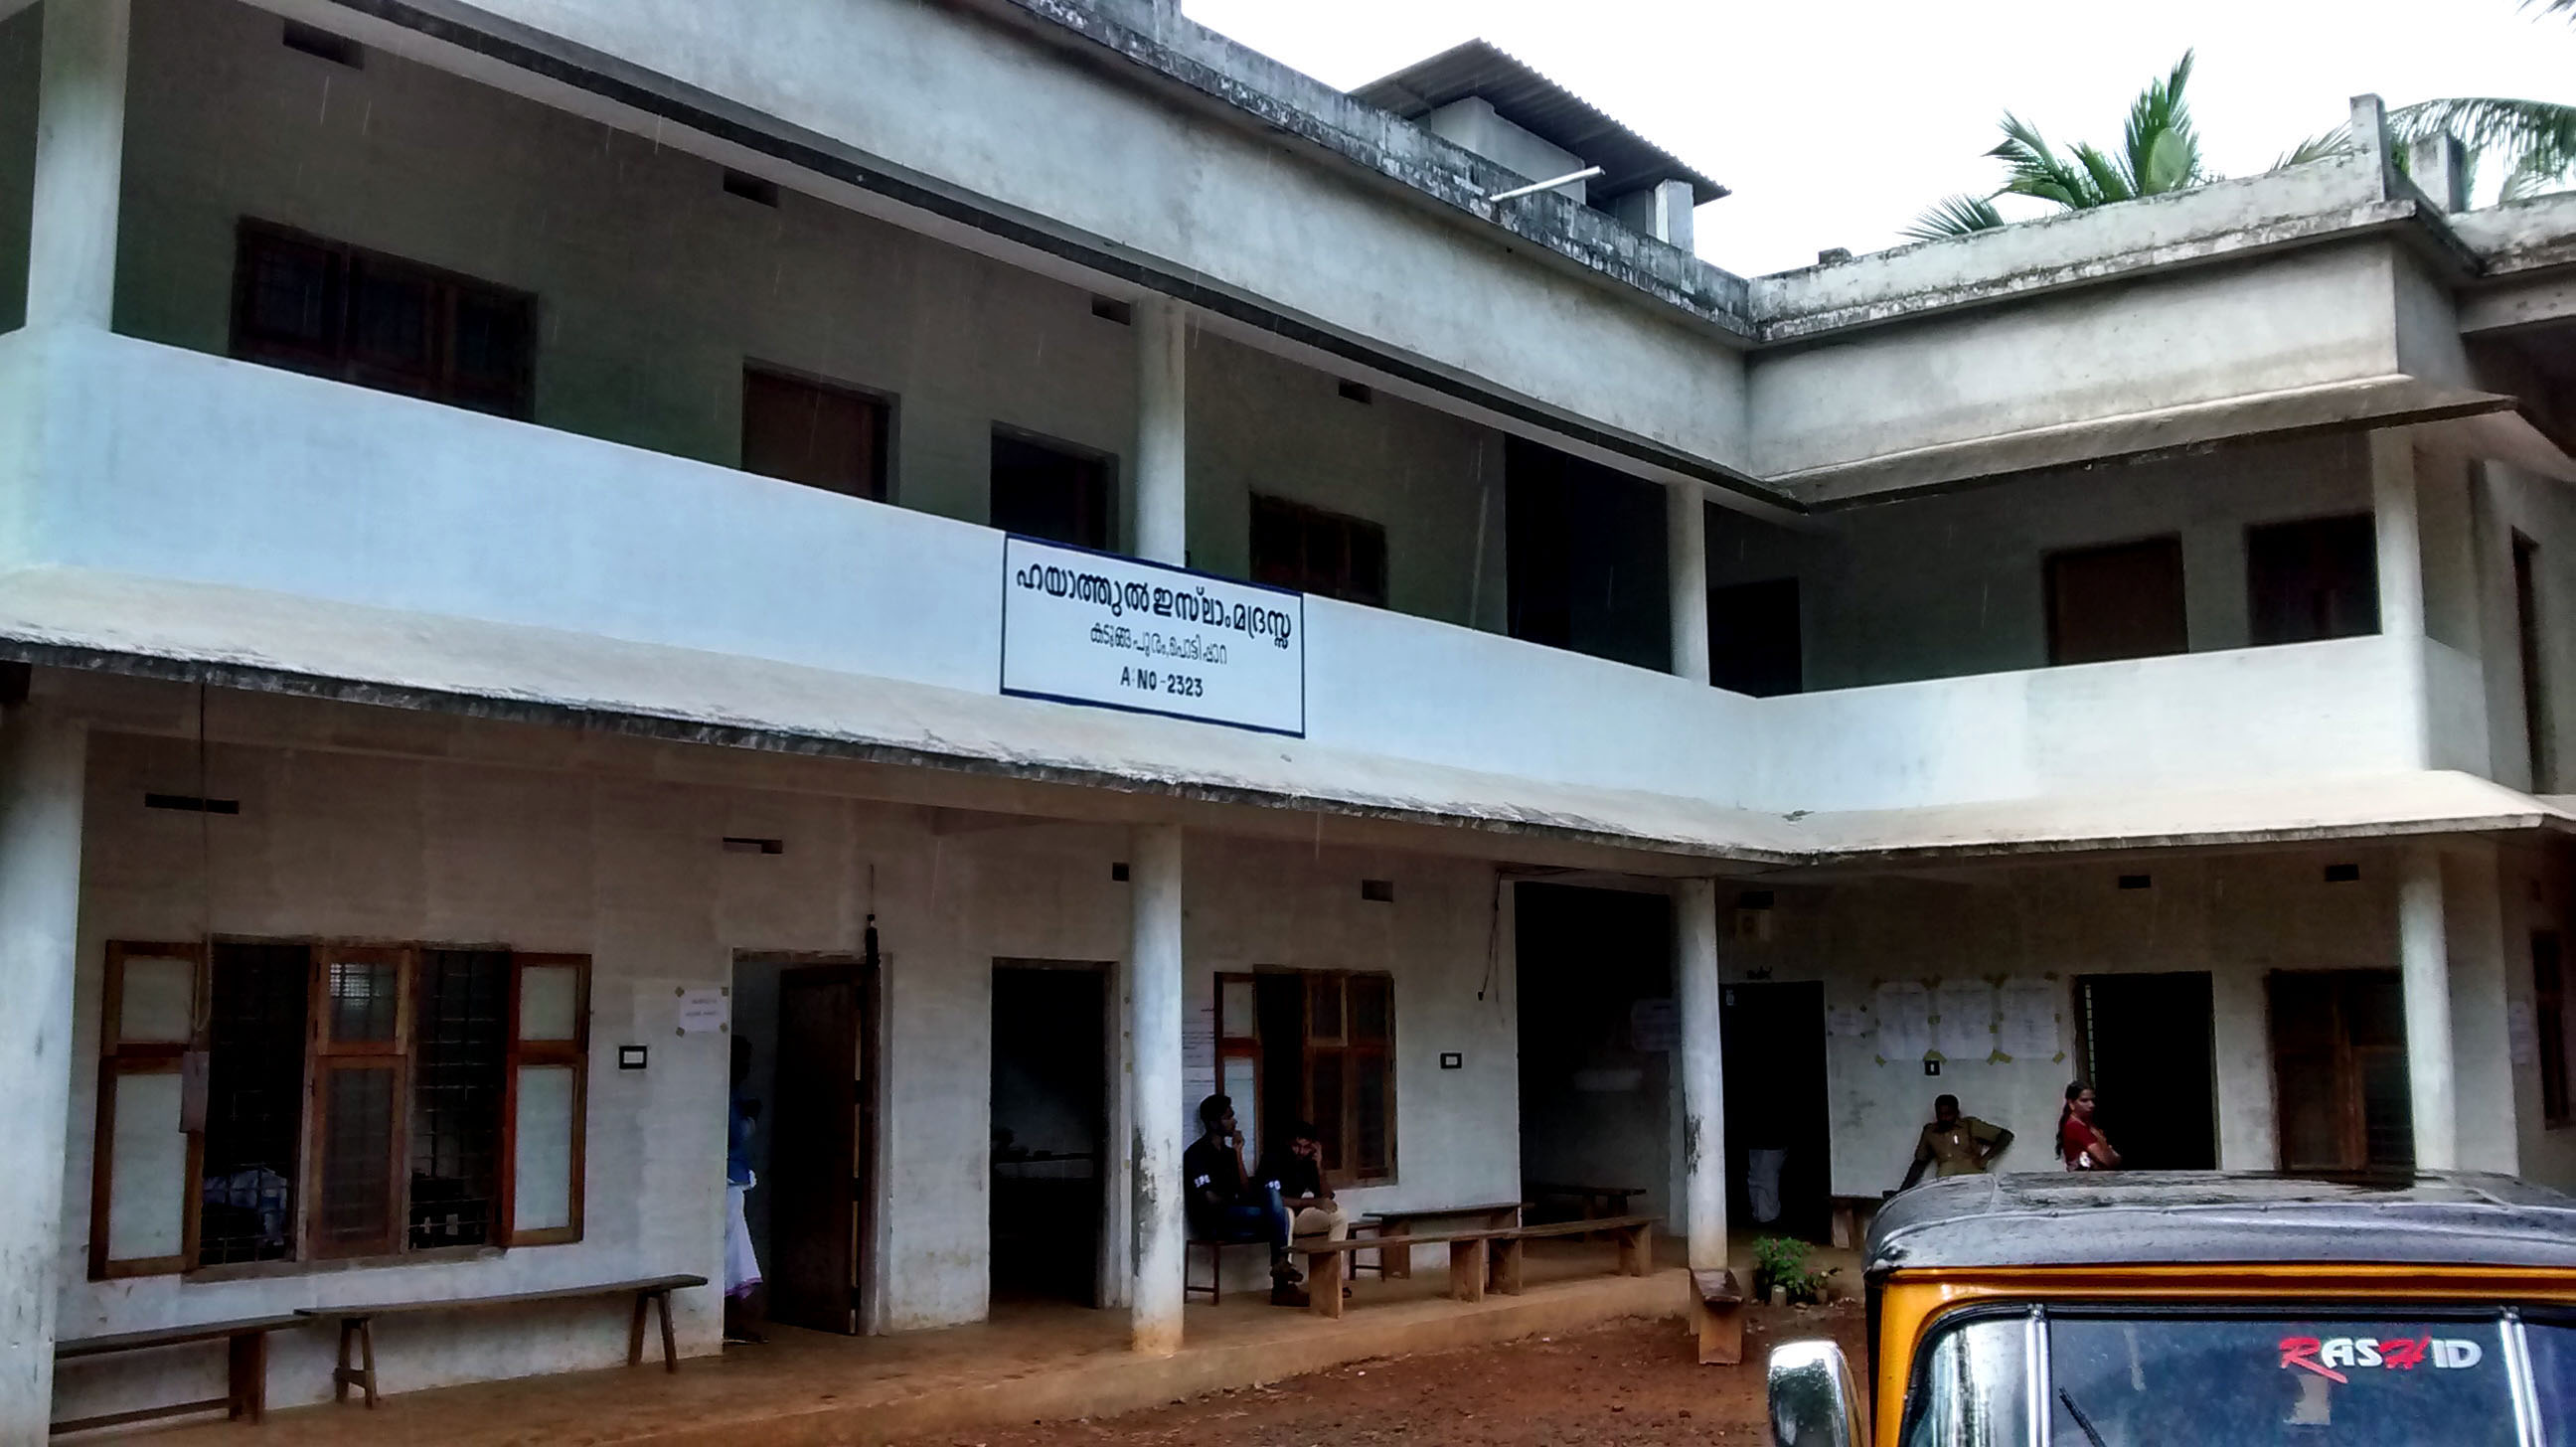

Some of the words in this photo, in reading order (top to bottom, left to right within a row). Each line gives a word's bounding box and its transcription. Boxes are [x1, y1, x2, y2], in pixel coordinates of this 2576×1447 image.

[1016, 558, 1153, 621] ഹയാത്തൂൽ
[1082, 612, 1233, 669] കടങ്ങപുരംപൊടിപ്പാറ
[1147, 579, 1296, 655] ഇസ്‌ലാം മദ്രസ്സ
[1116, 661, 1207, 704] A:NO-2323